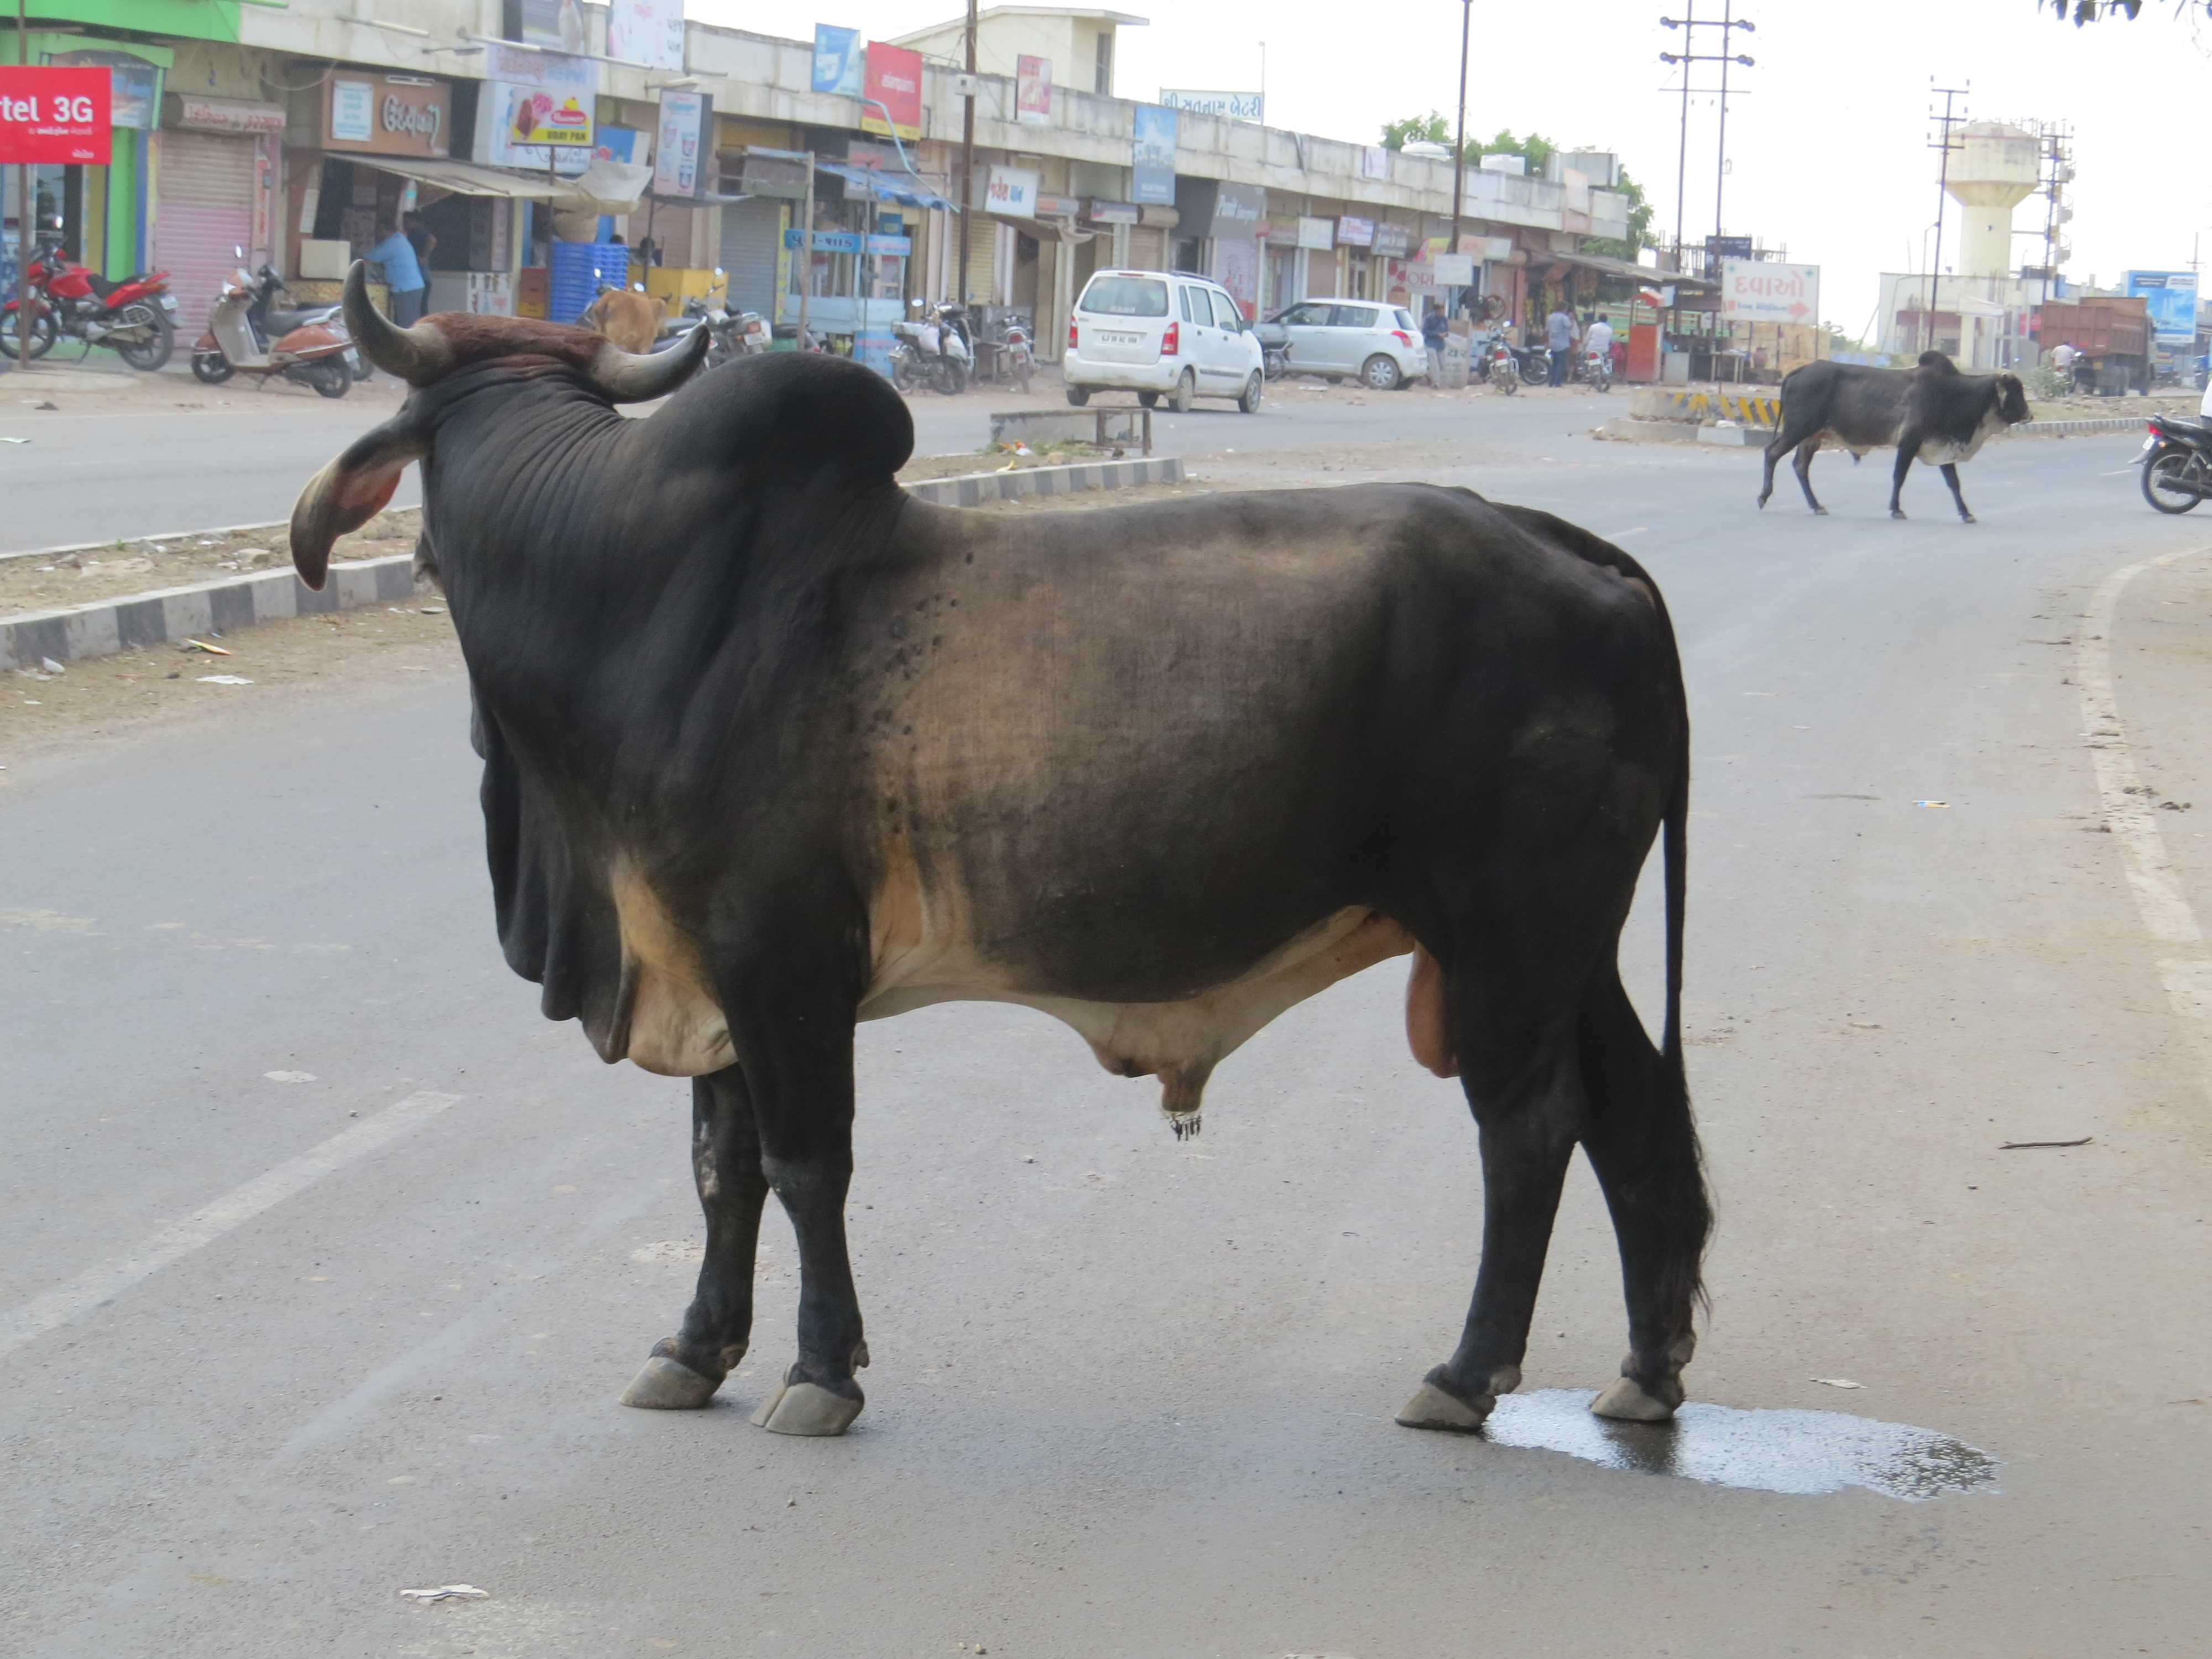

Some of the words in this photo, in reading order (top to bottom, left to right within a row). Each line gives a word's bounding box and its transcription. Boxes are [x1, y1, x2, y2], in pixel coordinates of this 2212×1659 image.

[0, 88, 40, 124] tel
[45, 90, 96, 126] 3G
[1228, 91, 1264, 118] બૅટરી
[1729, 266, 1811, 302] દવાઓ